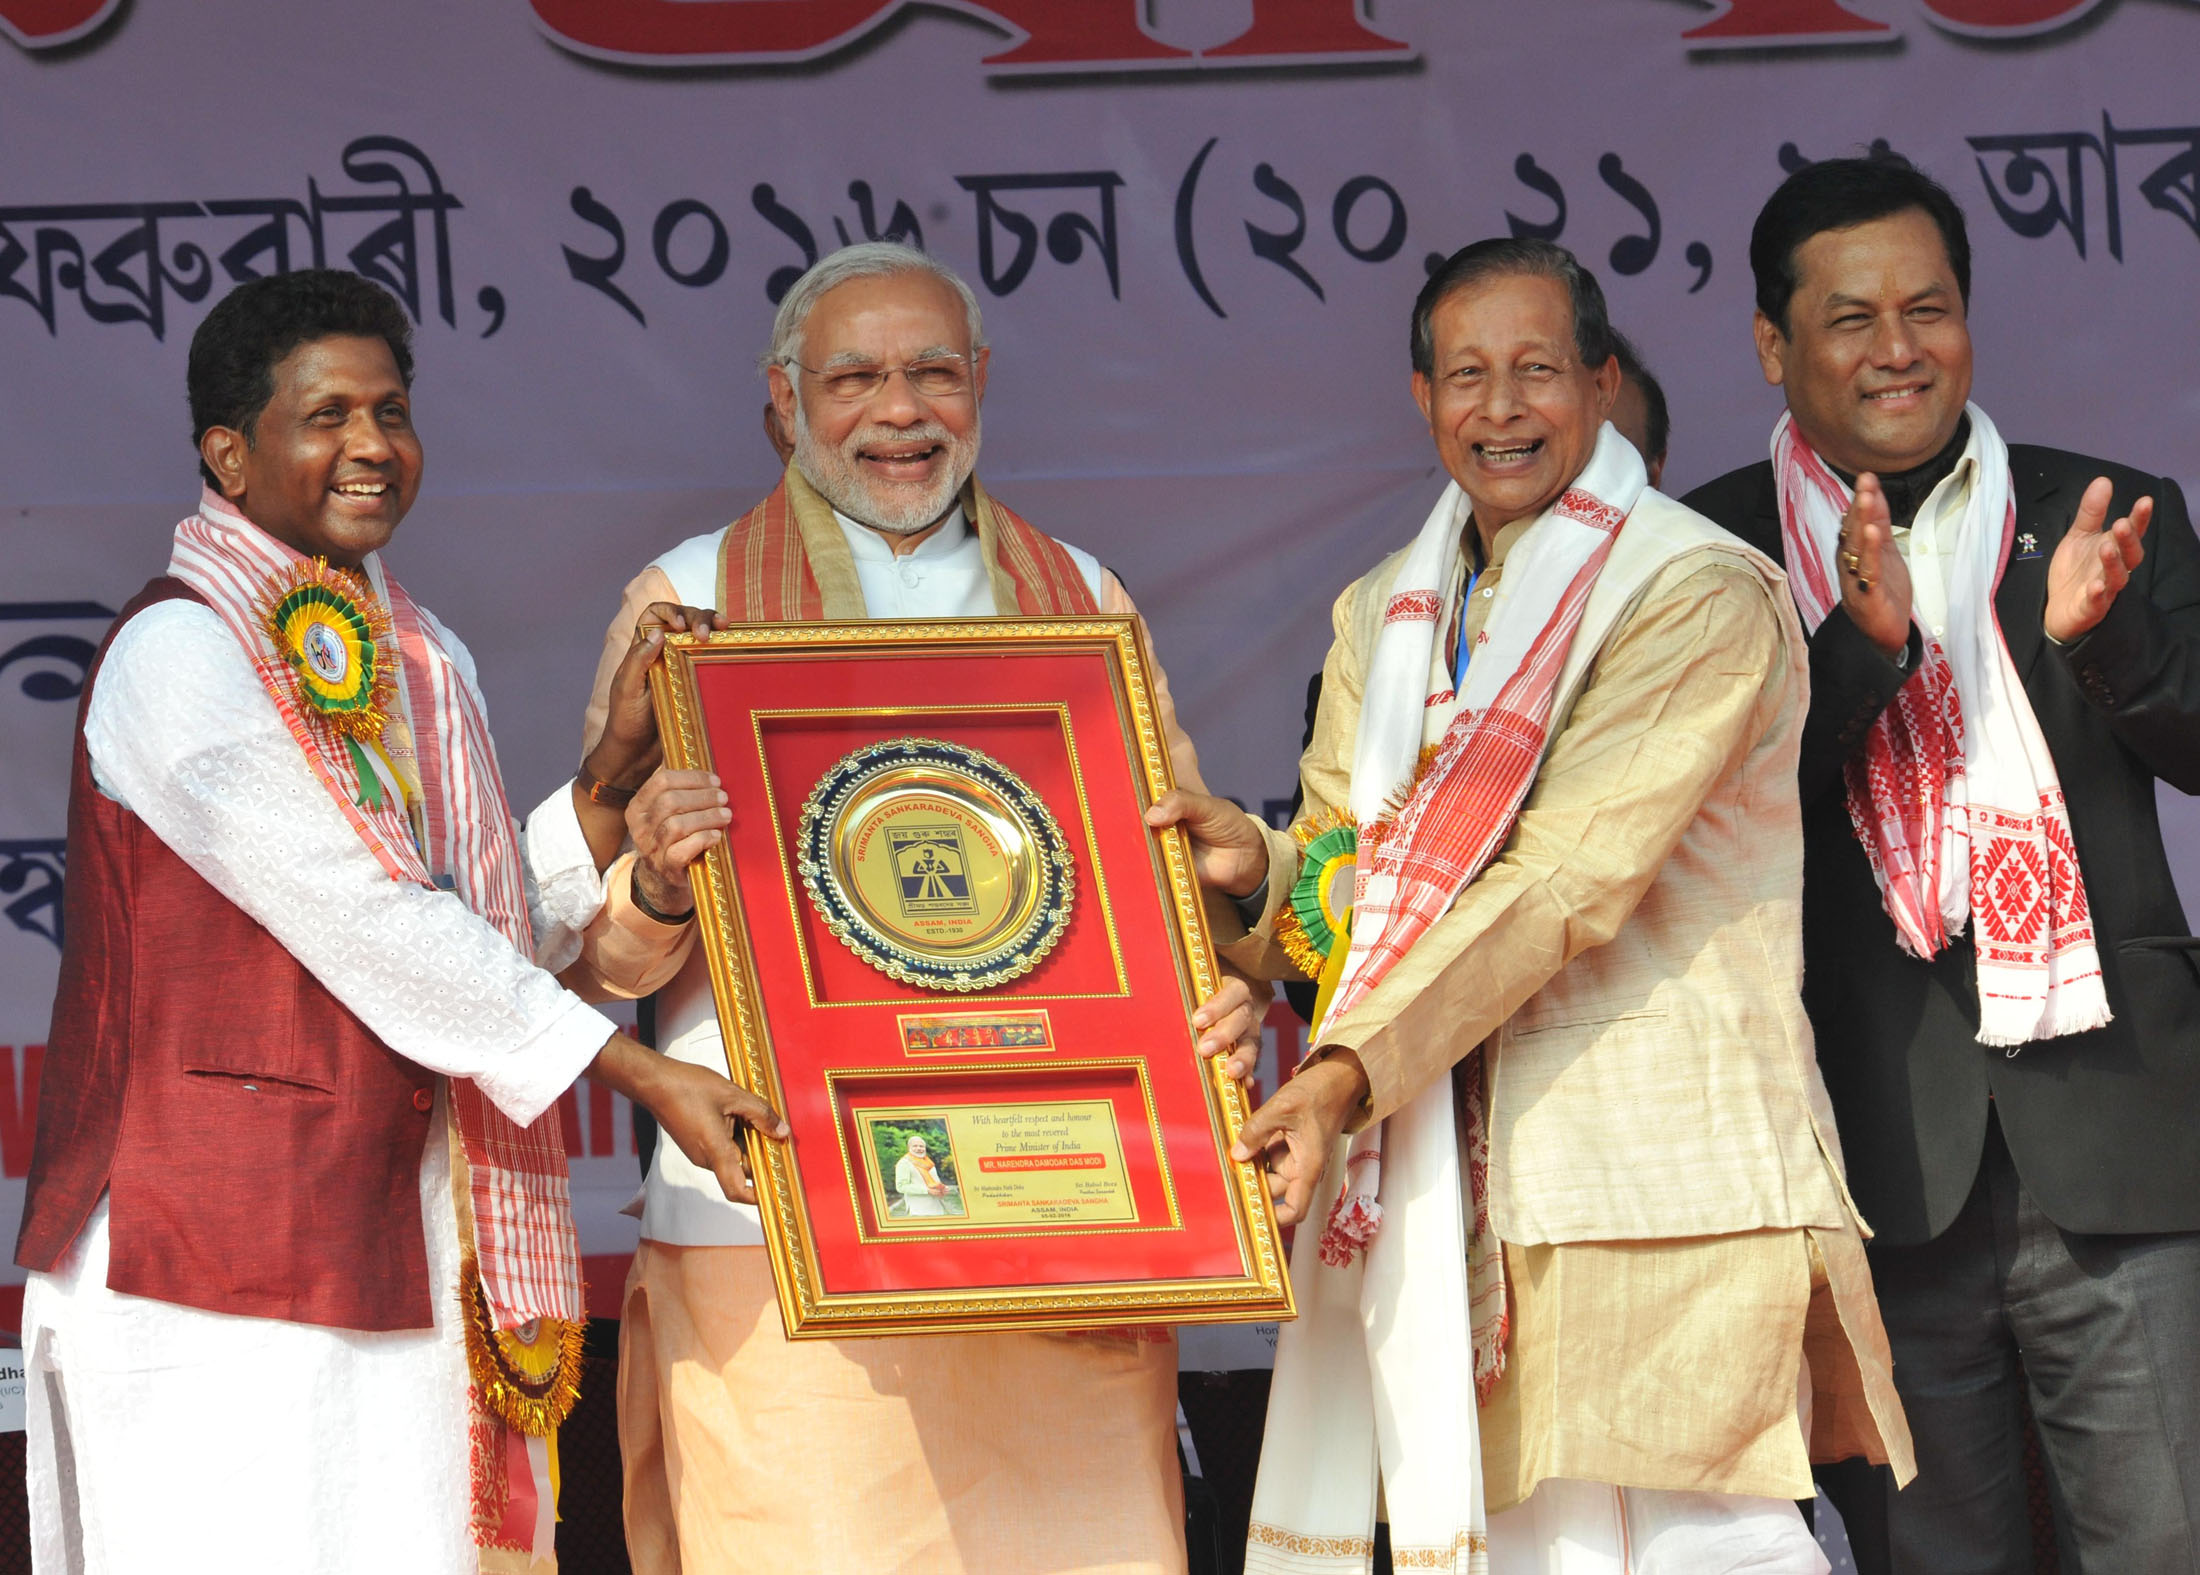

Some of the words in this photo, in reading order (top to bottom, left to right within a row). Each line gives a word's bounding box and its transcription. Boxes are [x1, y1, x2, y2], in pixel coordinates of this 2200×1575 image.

[0, 118, 472, 357] ফেব্রুৱাৰী
[952, 156, 1138, 327] চন
[1165, 126, 1417, 334] (২০
[1955, 85, 2200, 268] আৰ